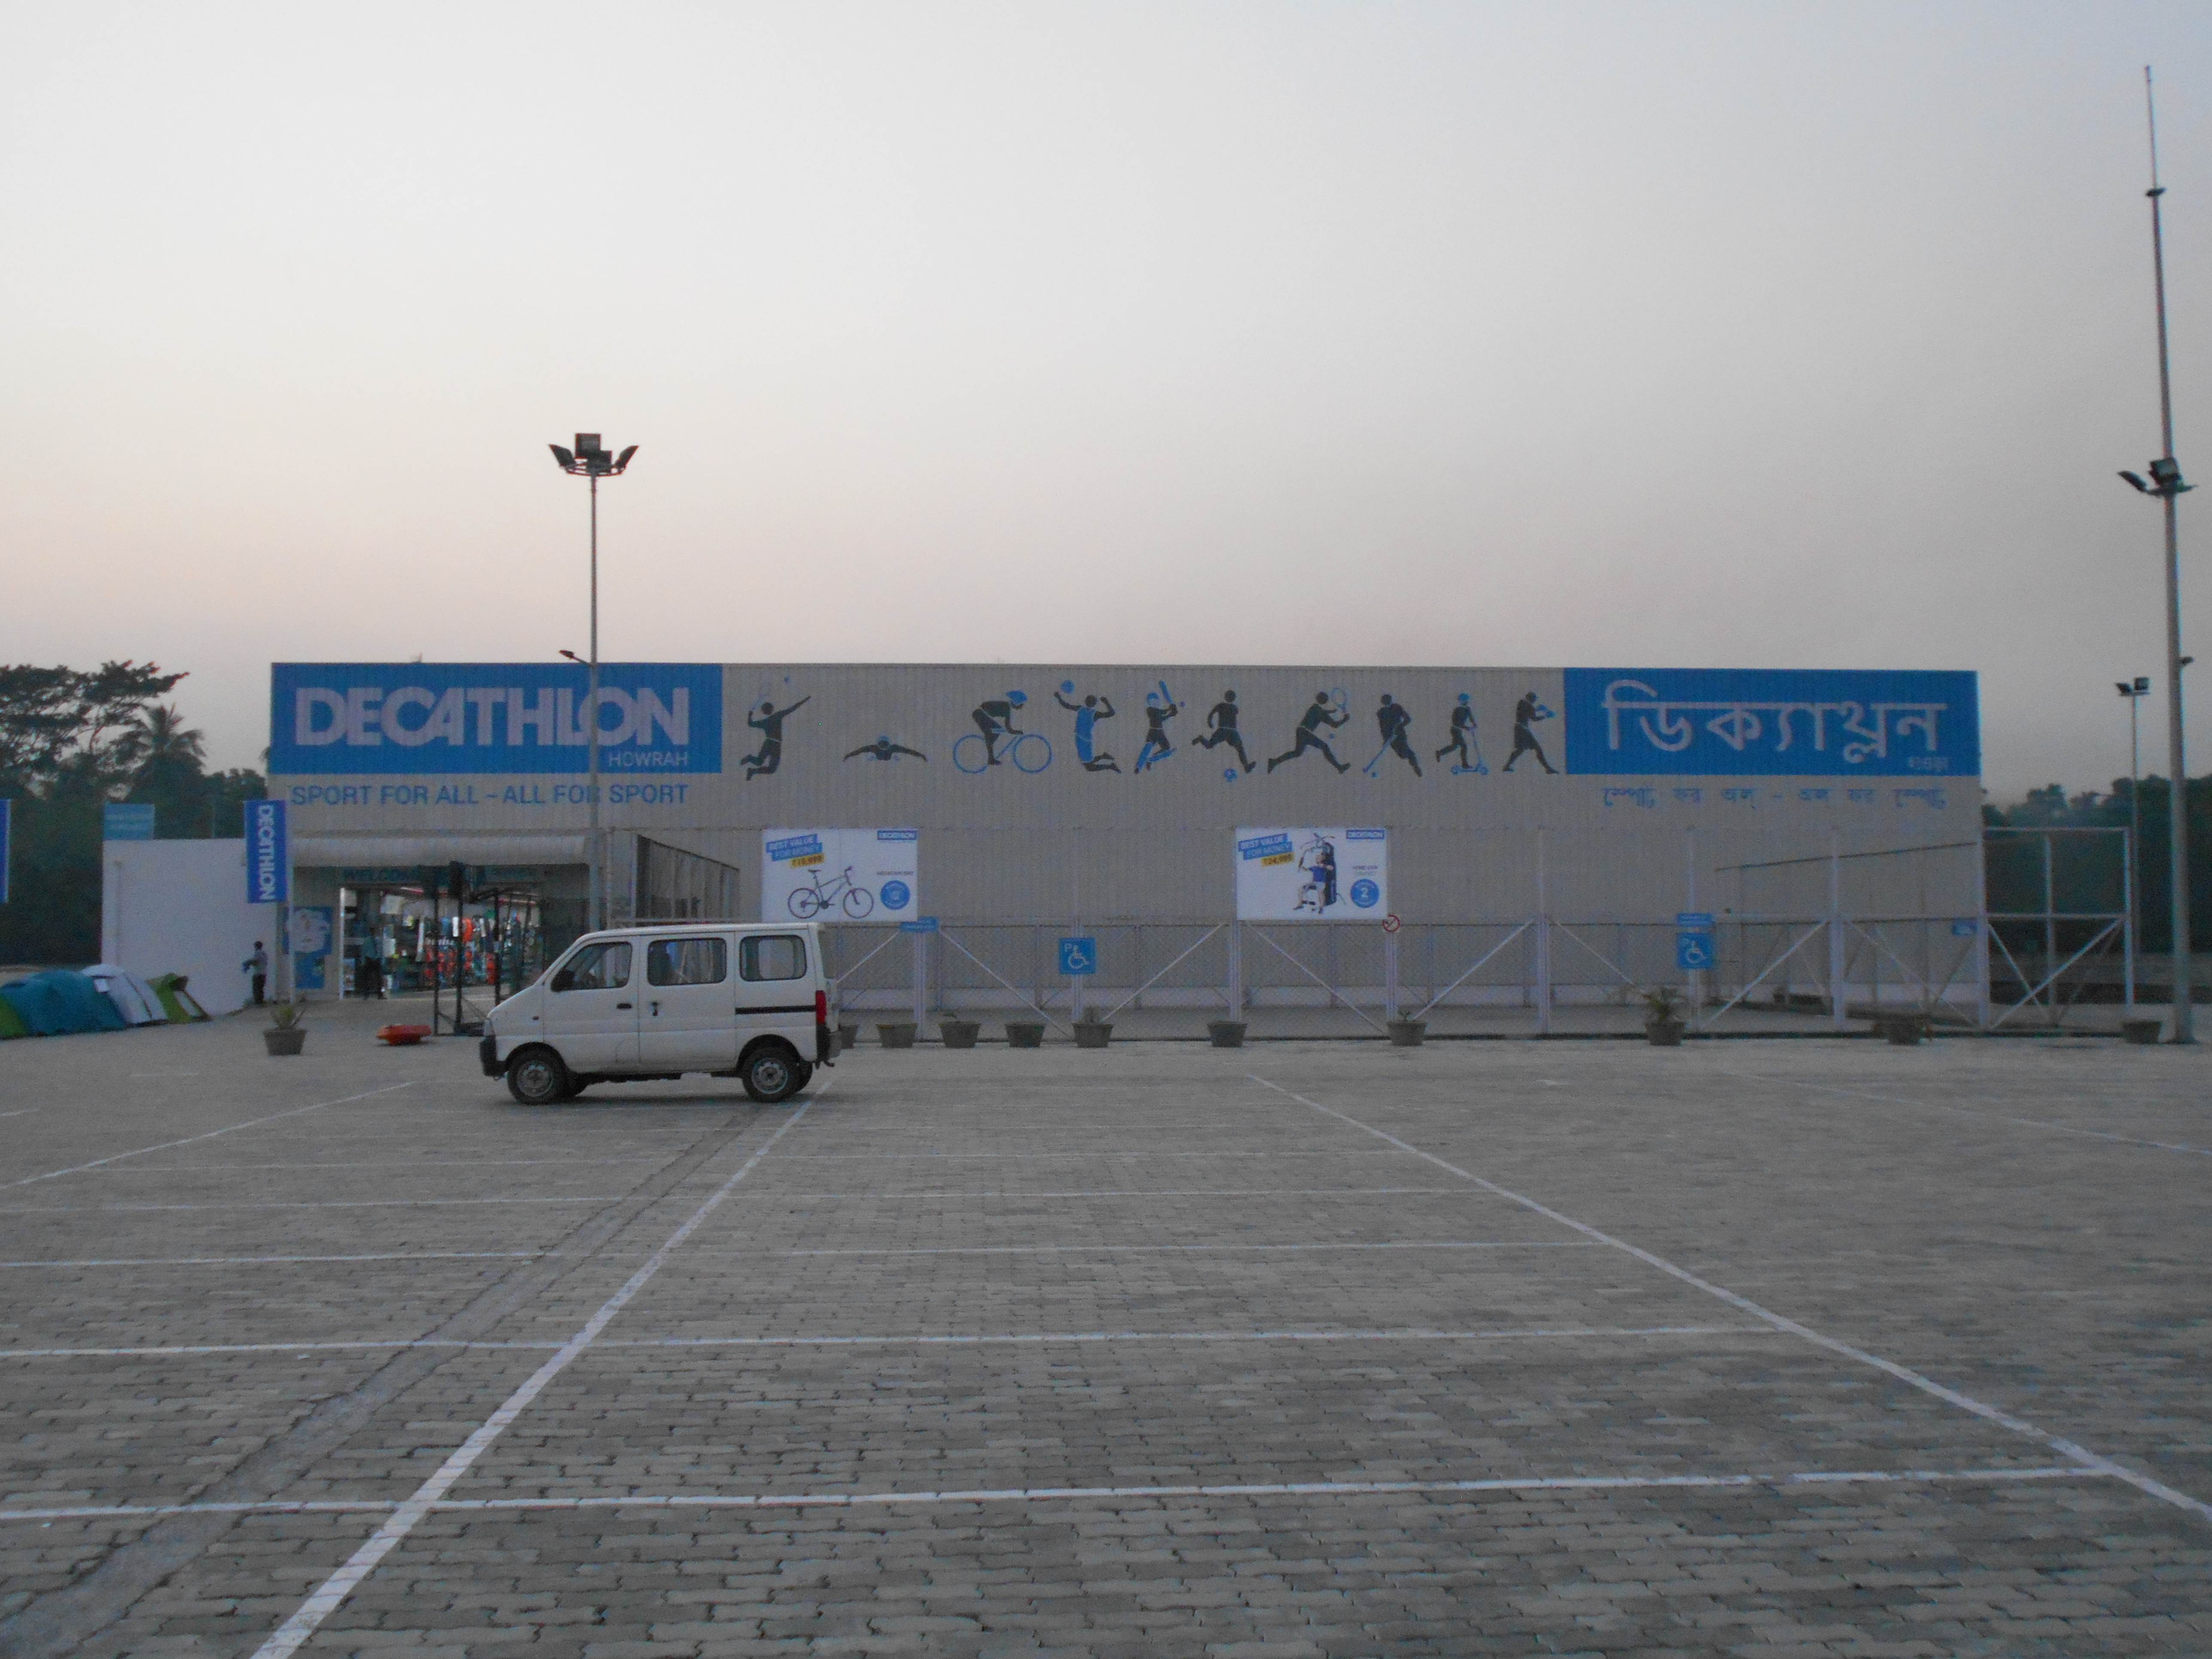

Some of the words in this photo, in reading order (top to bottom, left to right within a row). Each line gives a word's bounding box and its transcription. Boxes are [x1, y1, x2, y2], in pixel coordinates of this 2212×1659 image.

[290, 682, 694, 750] DECATHLON
[1595, 665, 1946, 770] ডিক্যাঘ্লন
[601, 744, 692, 771] HOWRAH
[285, 778, 372, 811] SPORT
[376, 778, 430, 808] FOR
[429, 780, 482, 811] ALL
[496, 779, 549, 806] ALL
[547, 775, 606, 808] FOR
[598, 778, 689, 809] SPORT
[255, 802, 279, 907] DECATHLON